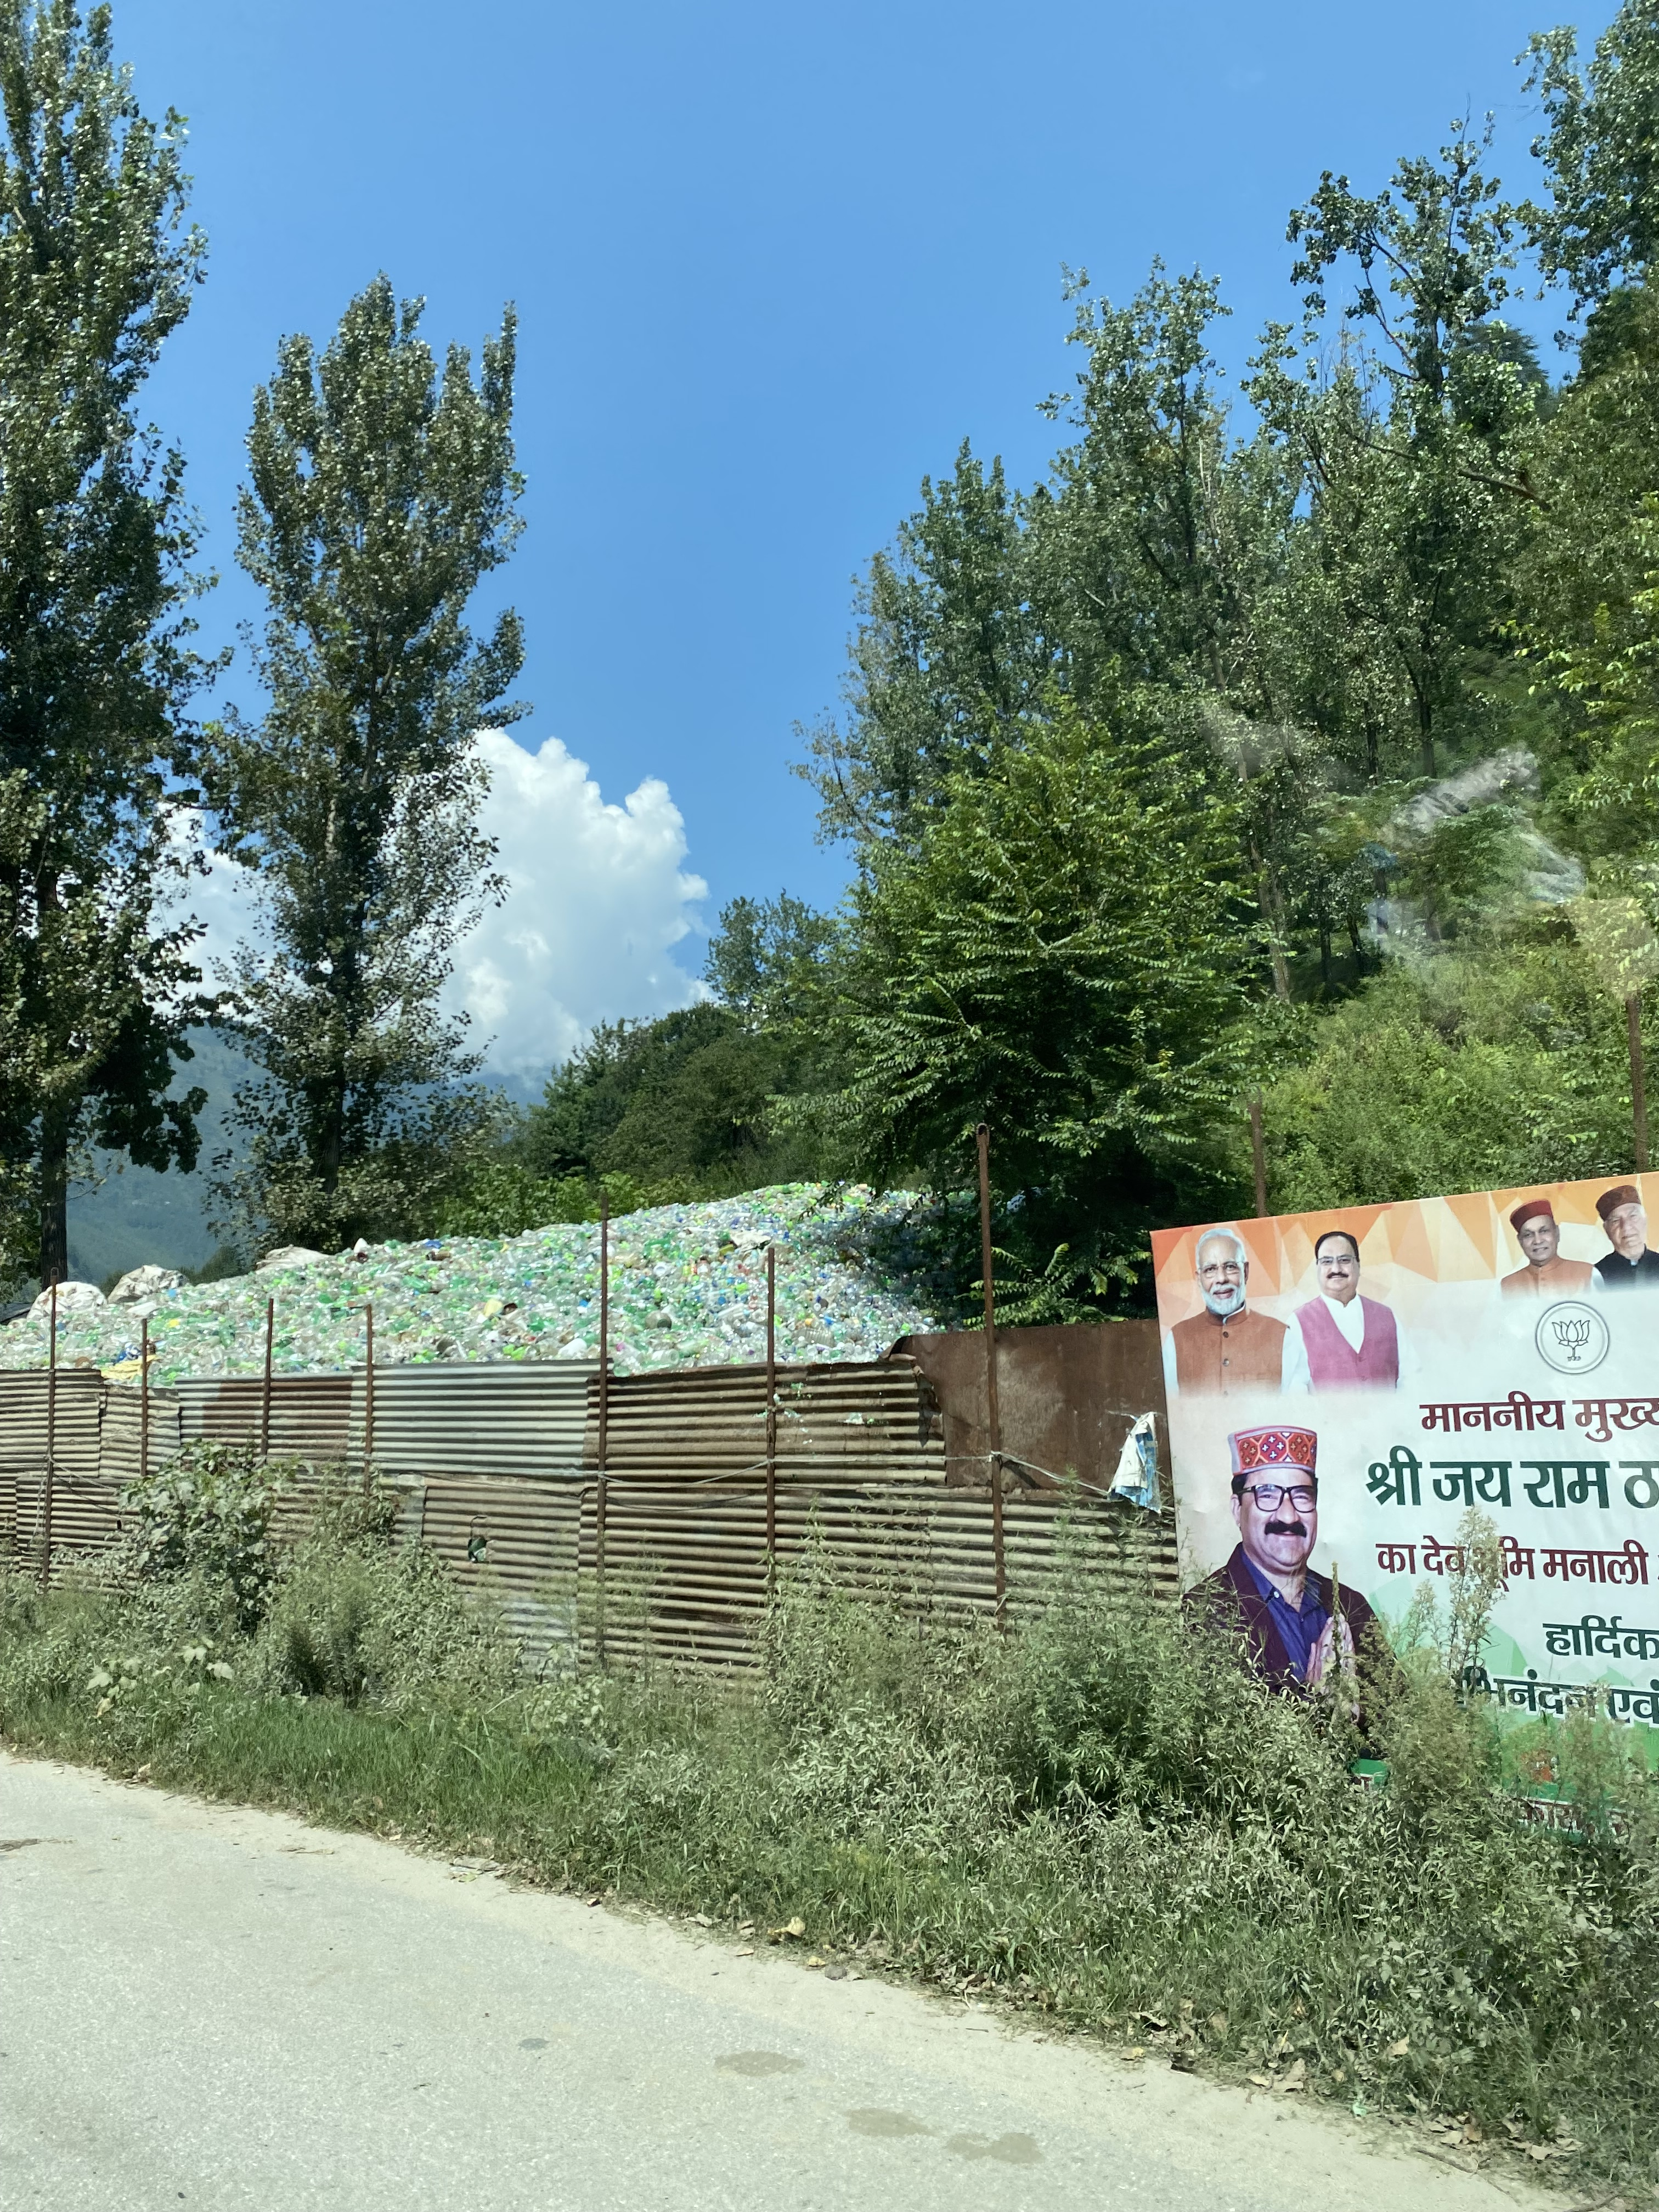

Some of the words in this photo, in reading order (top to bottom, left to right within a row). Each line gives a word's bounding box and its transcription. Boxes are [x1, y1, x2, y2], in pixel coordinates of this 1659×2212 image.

[1416, 1387, 1567, 1434] माननीय
[1570, 1396, 1659, 1447] मुख्य
[1362, 1442, 1425, 1510] श्री
[1427, 1457, 1514, 1509] जय
[1520, 1458, 1614, 1513] राम
[1374, 1532, 1470, 1578] कादेव
[1471, 1532, 1537, 1596] मि
[1539, 1535, 1651, 1588] मनाली
[1543, 1611, 1659, 1662] हार्दिक
[1447, 1660, 1603, 1720] नंद
[1602, 1677, 1658, 1726] एवं